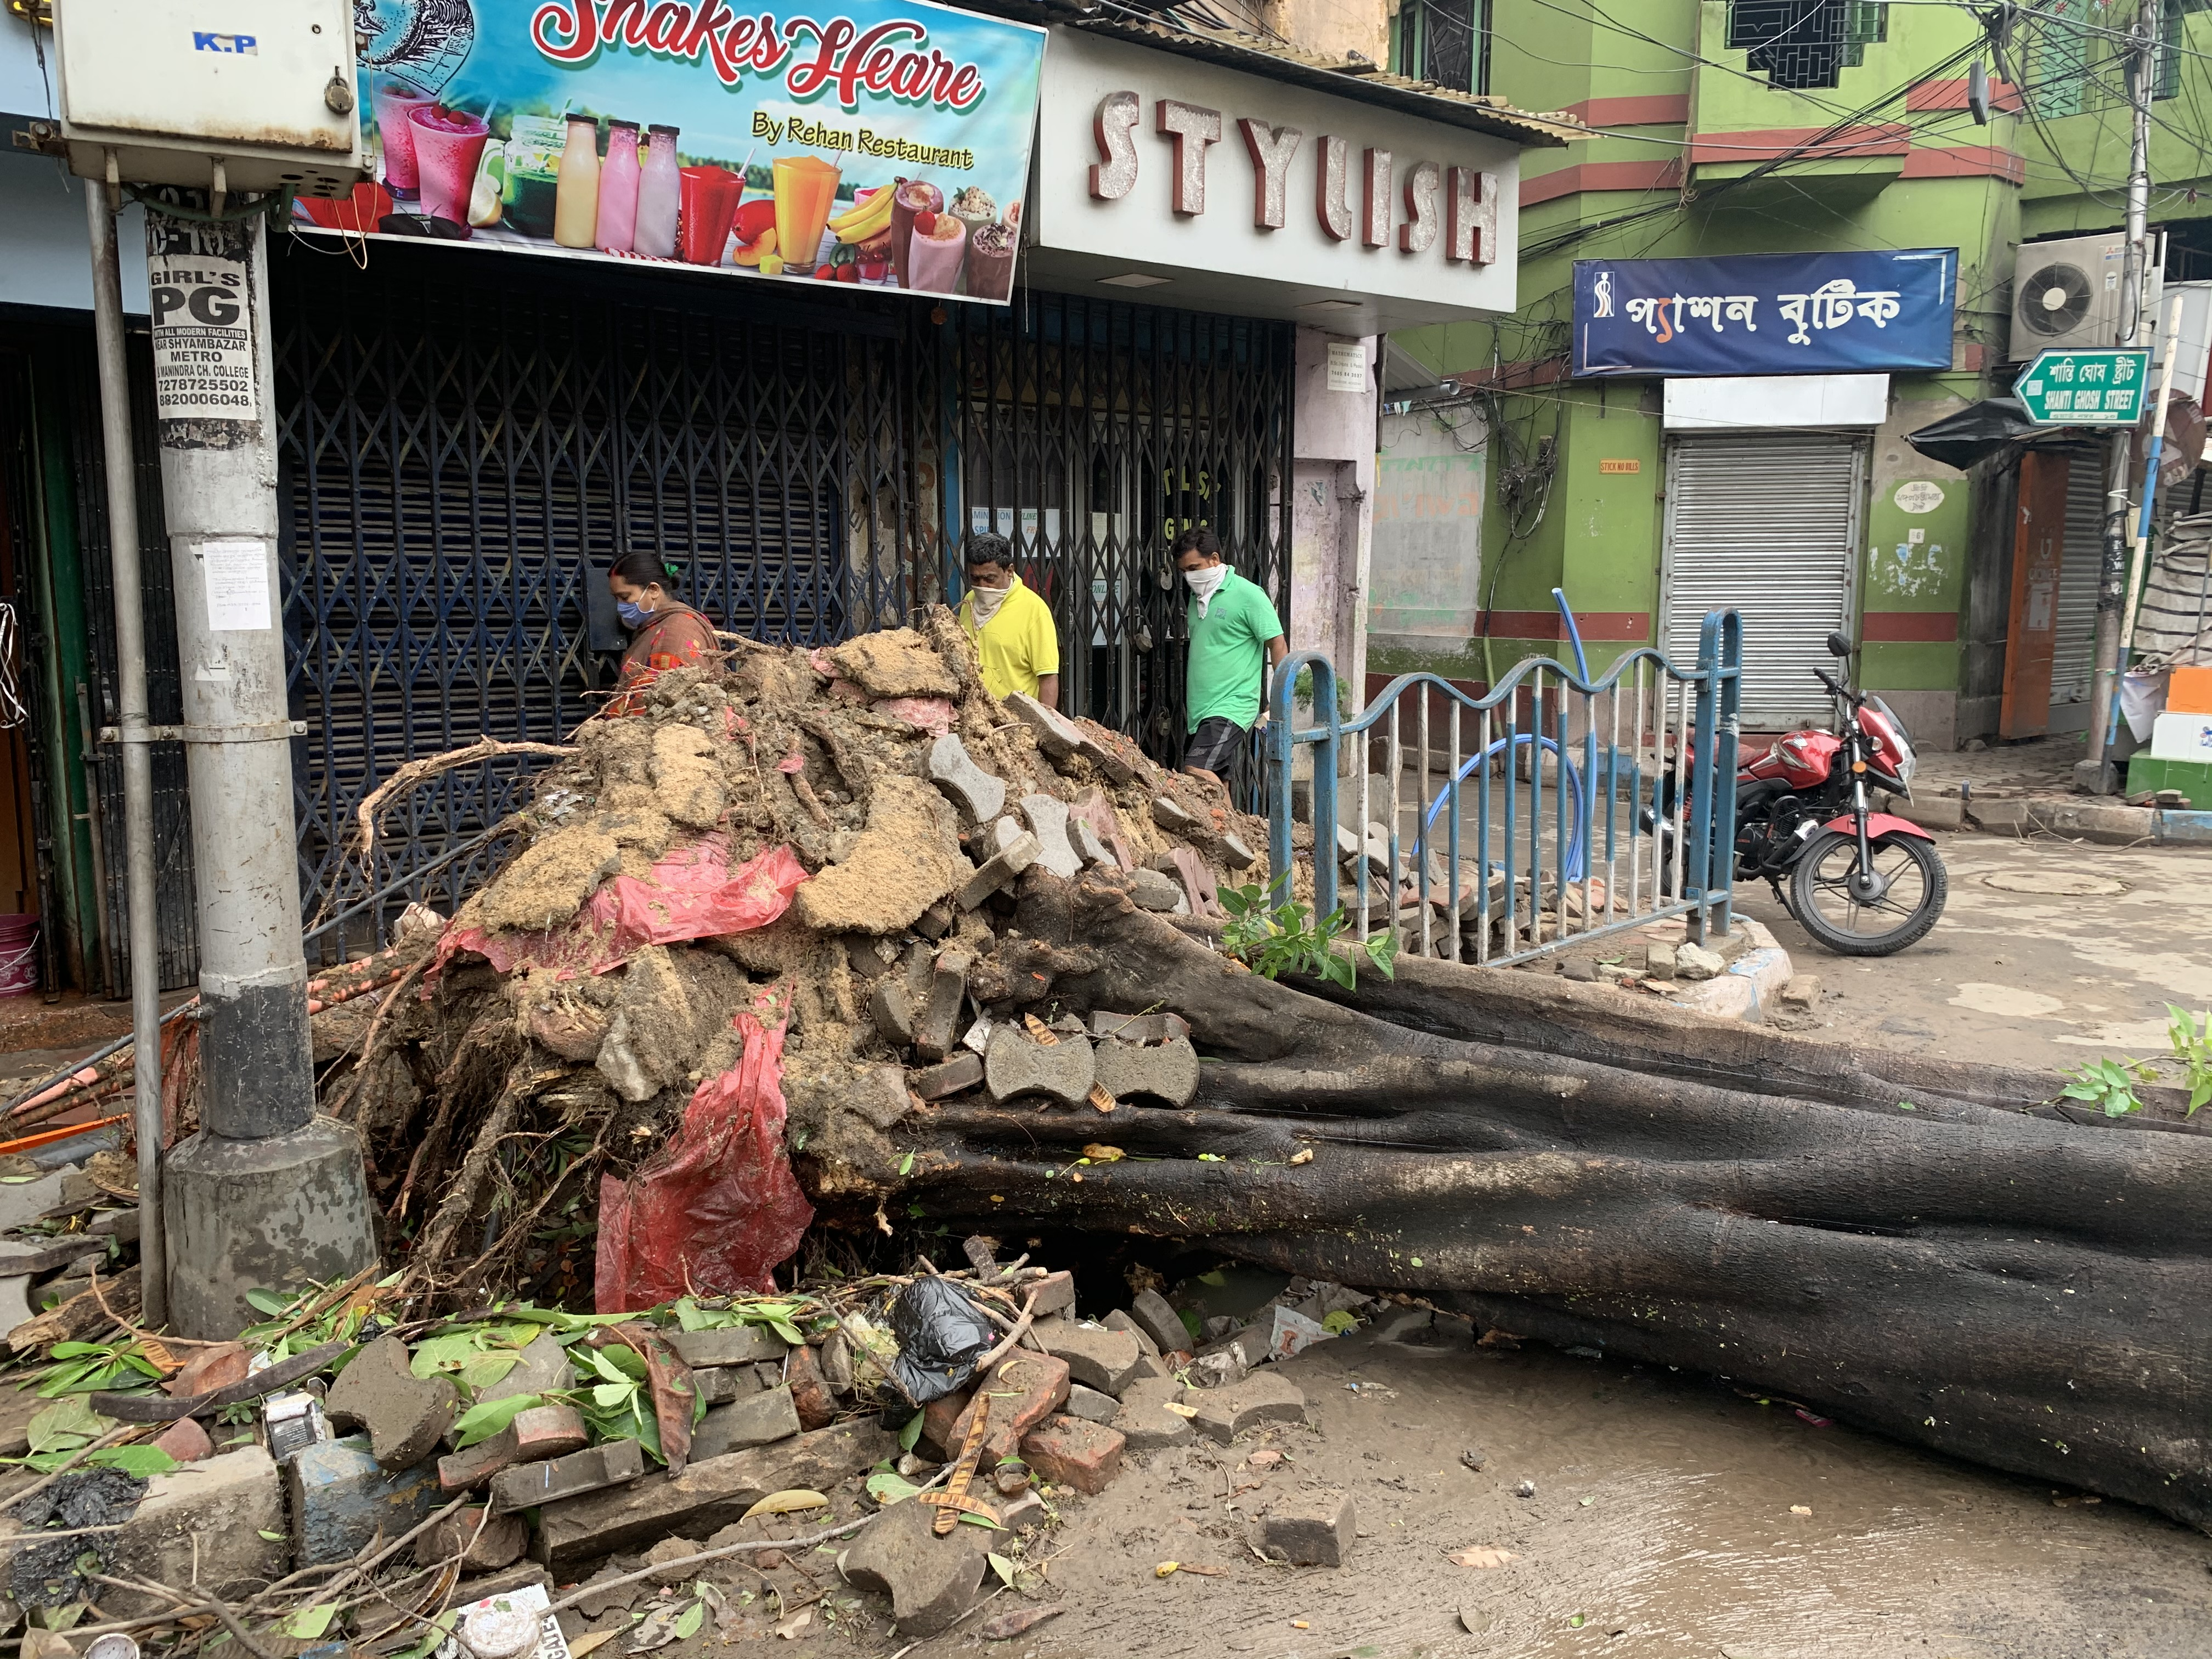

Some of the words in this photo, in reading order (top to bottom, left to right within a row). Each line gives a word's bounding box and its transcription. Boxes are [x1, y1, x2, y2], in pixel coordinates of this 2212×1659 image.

[528, 0, 989, 120] SnakesHeare
[747, 109, 785, 146] By
[785, 116, 857, 157] Rehan
[854, 127, 976, 175] Restaurant
[1077, 85, 1500, 269] STYLISH
[144, 268, 244, 291] GIRL
[145, 275, 246, 329] PG
[1621, 281, 1762, 353] প্যাশন
[1773, 271, 1906, 352] বুটিক
[150, 325, 166, 342] WITH
[148, 336, 171, 351] NEAR
[163, 326, 178, 339] ALL
[157, 362, 199, 379] MANINDRA
[174, 326, 210, 340] MODERN
[167, 348, 229, 364] METRO
[192, 361, 214, 379] CH.
[163, 335, 247, 355] SHYAMBAZAR
[205, 325, 247, 342] FACILITIES
[208, 359, 250, 380] COLLEGE
[2046, 349, 2079, 386] শান্তি
[2073, 356, 2109, 388] ঘোষ
[2103, 353, 2138, 390] ষ্ট্রীট
[157, 375, 253, 394] 7278725502
[156, 391, 253, 408] 8820006048,
[2040, 383, 2075, 413] SHANTI
[2073, 387, 2104, 411] GHOSH
[2101, 381, 2138, 413] STREET